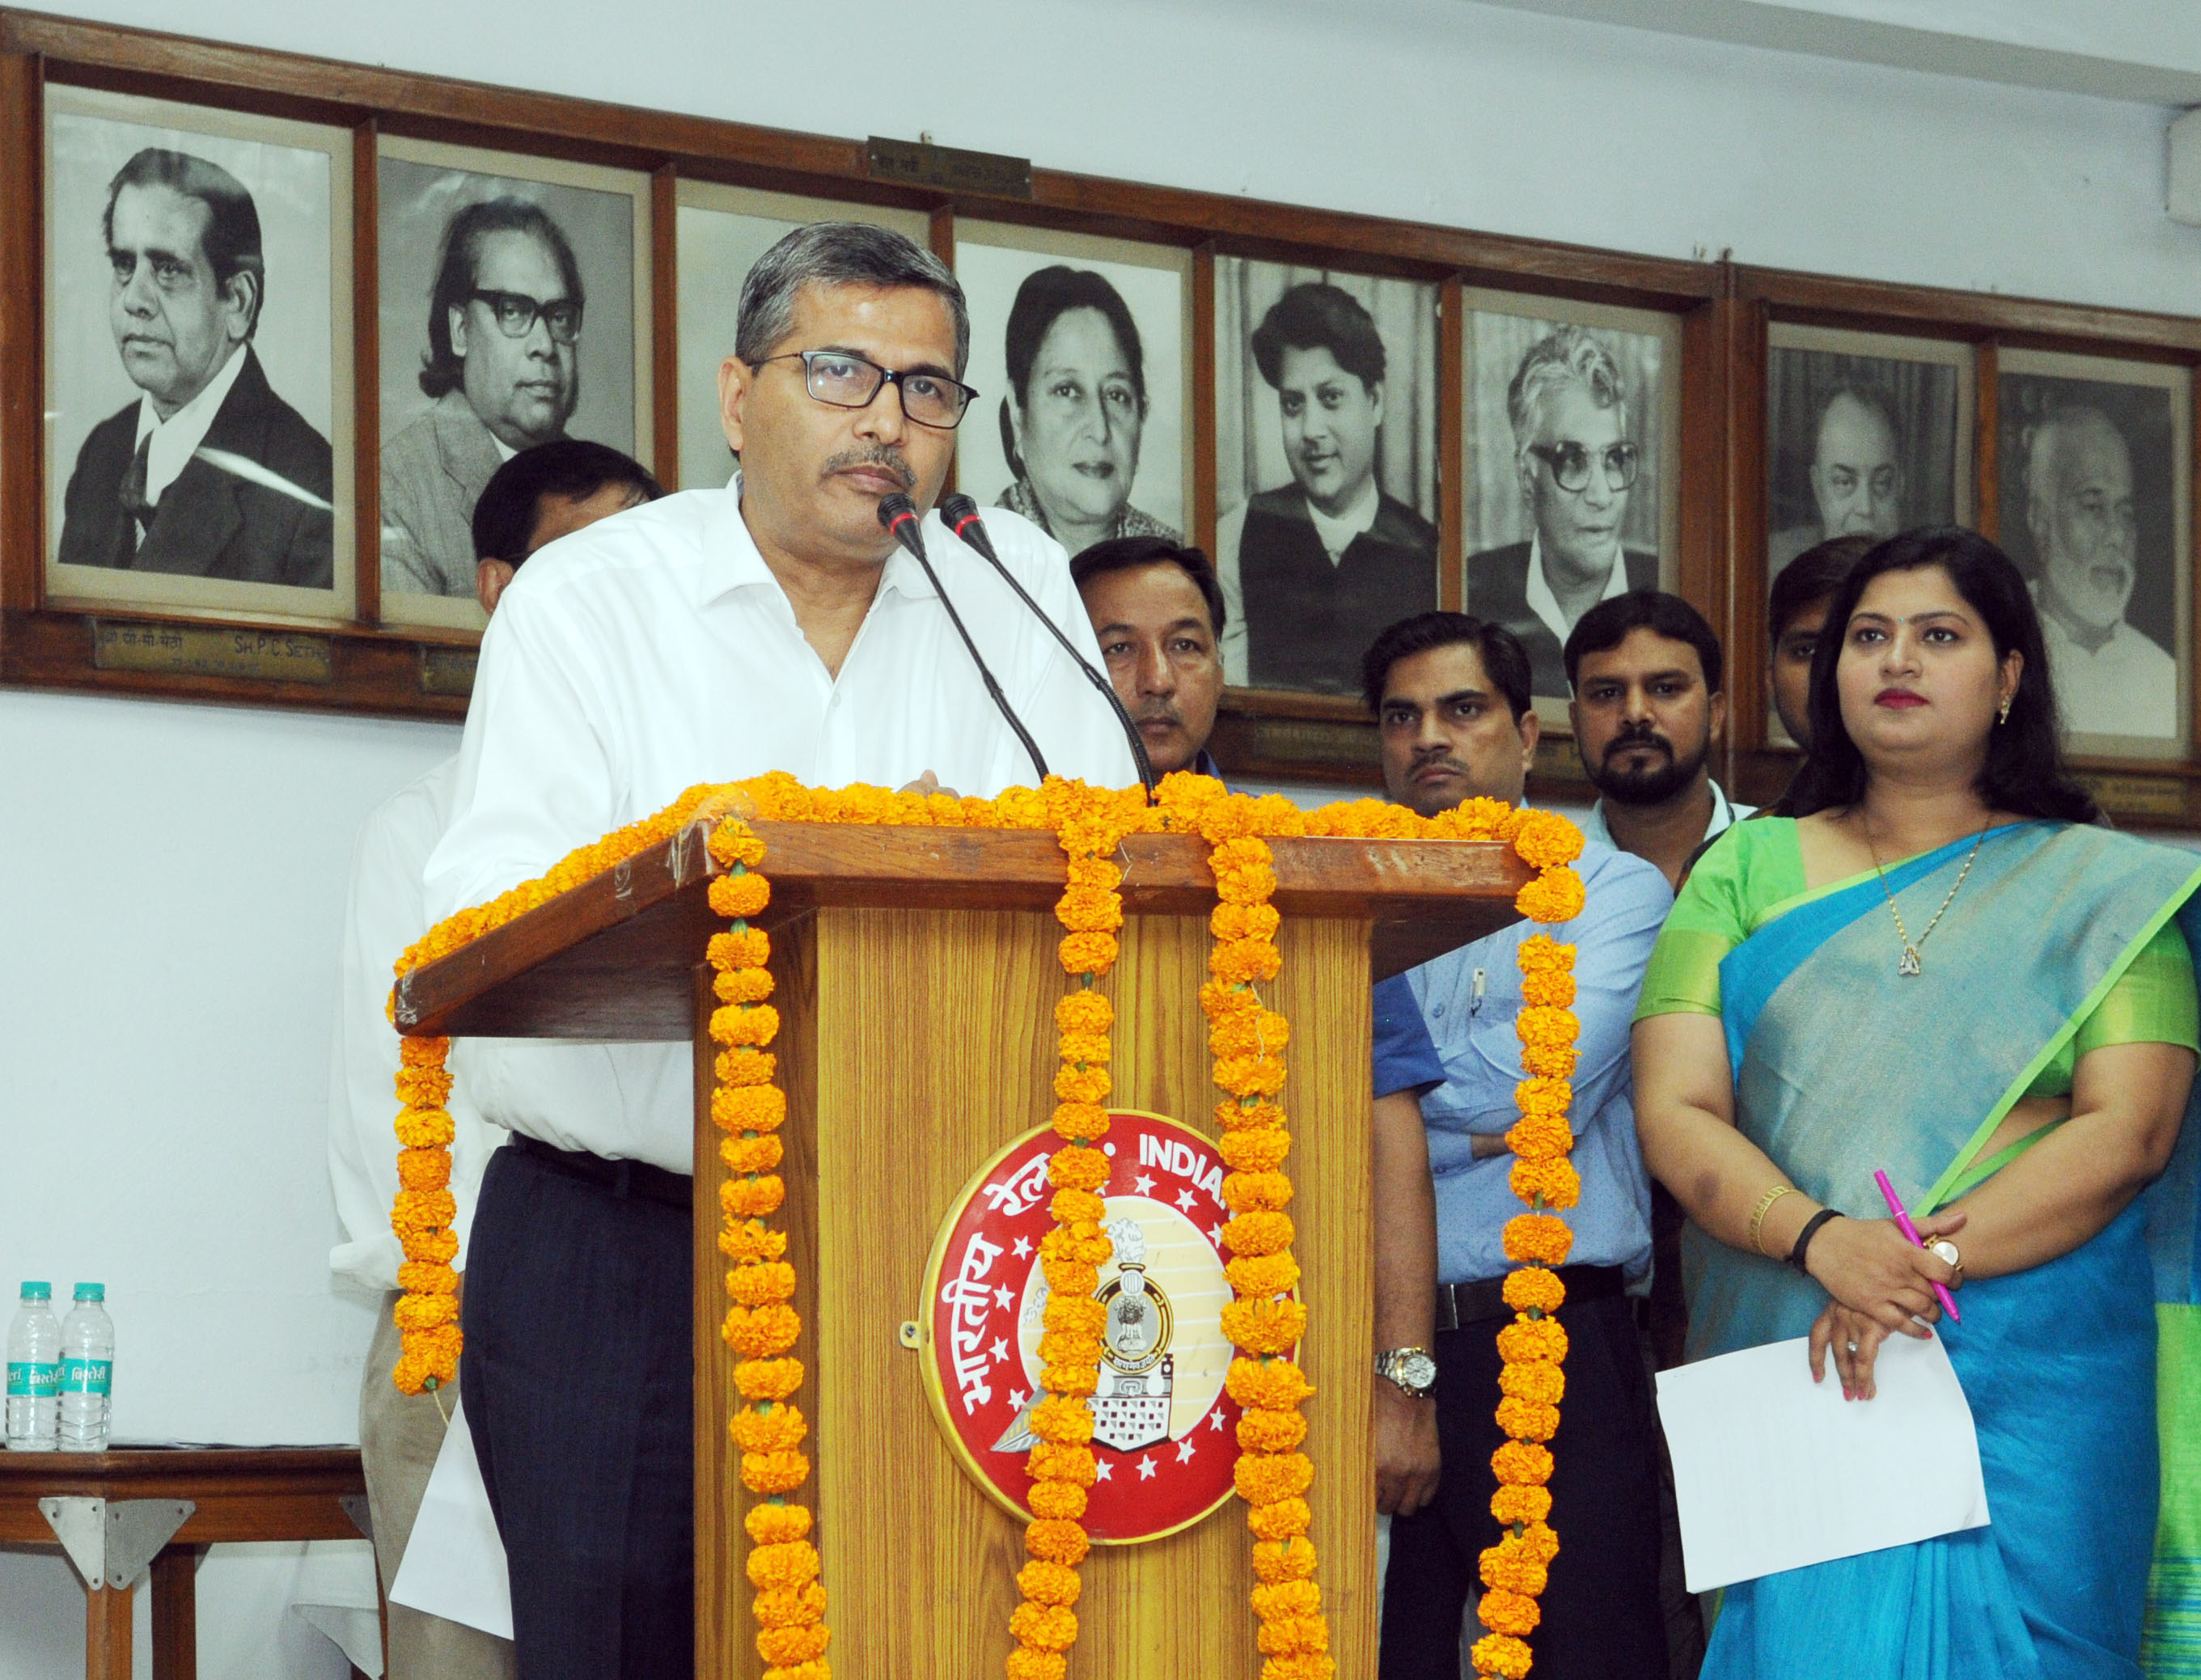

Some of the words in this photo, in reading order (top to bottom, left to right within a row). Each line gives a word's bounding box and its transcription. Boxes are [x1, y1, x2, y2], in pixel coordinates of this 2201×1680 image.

[980, 1150, 1062, 1221] रेल
[1139, 1131, 1225, 1206] INDIA
[939, 1229, 1005, 1418] भारतीय